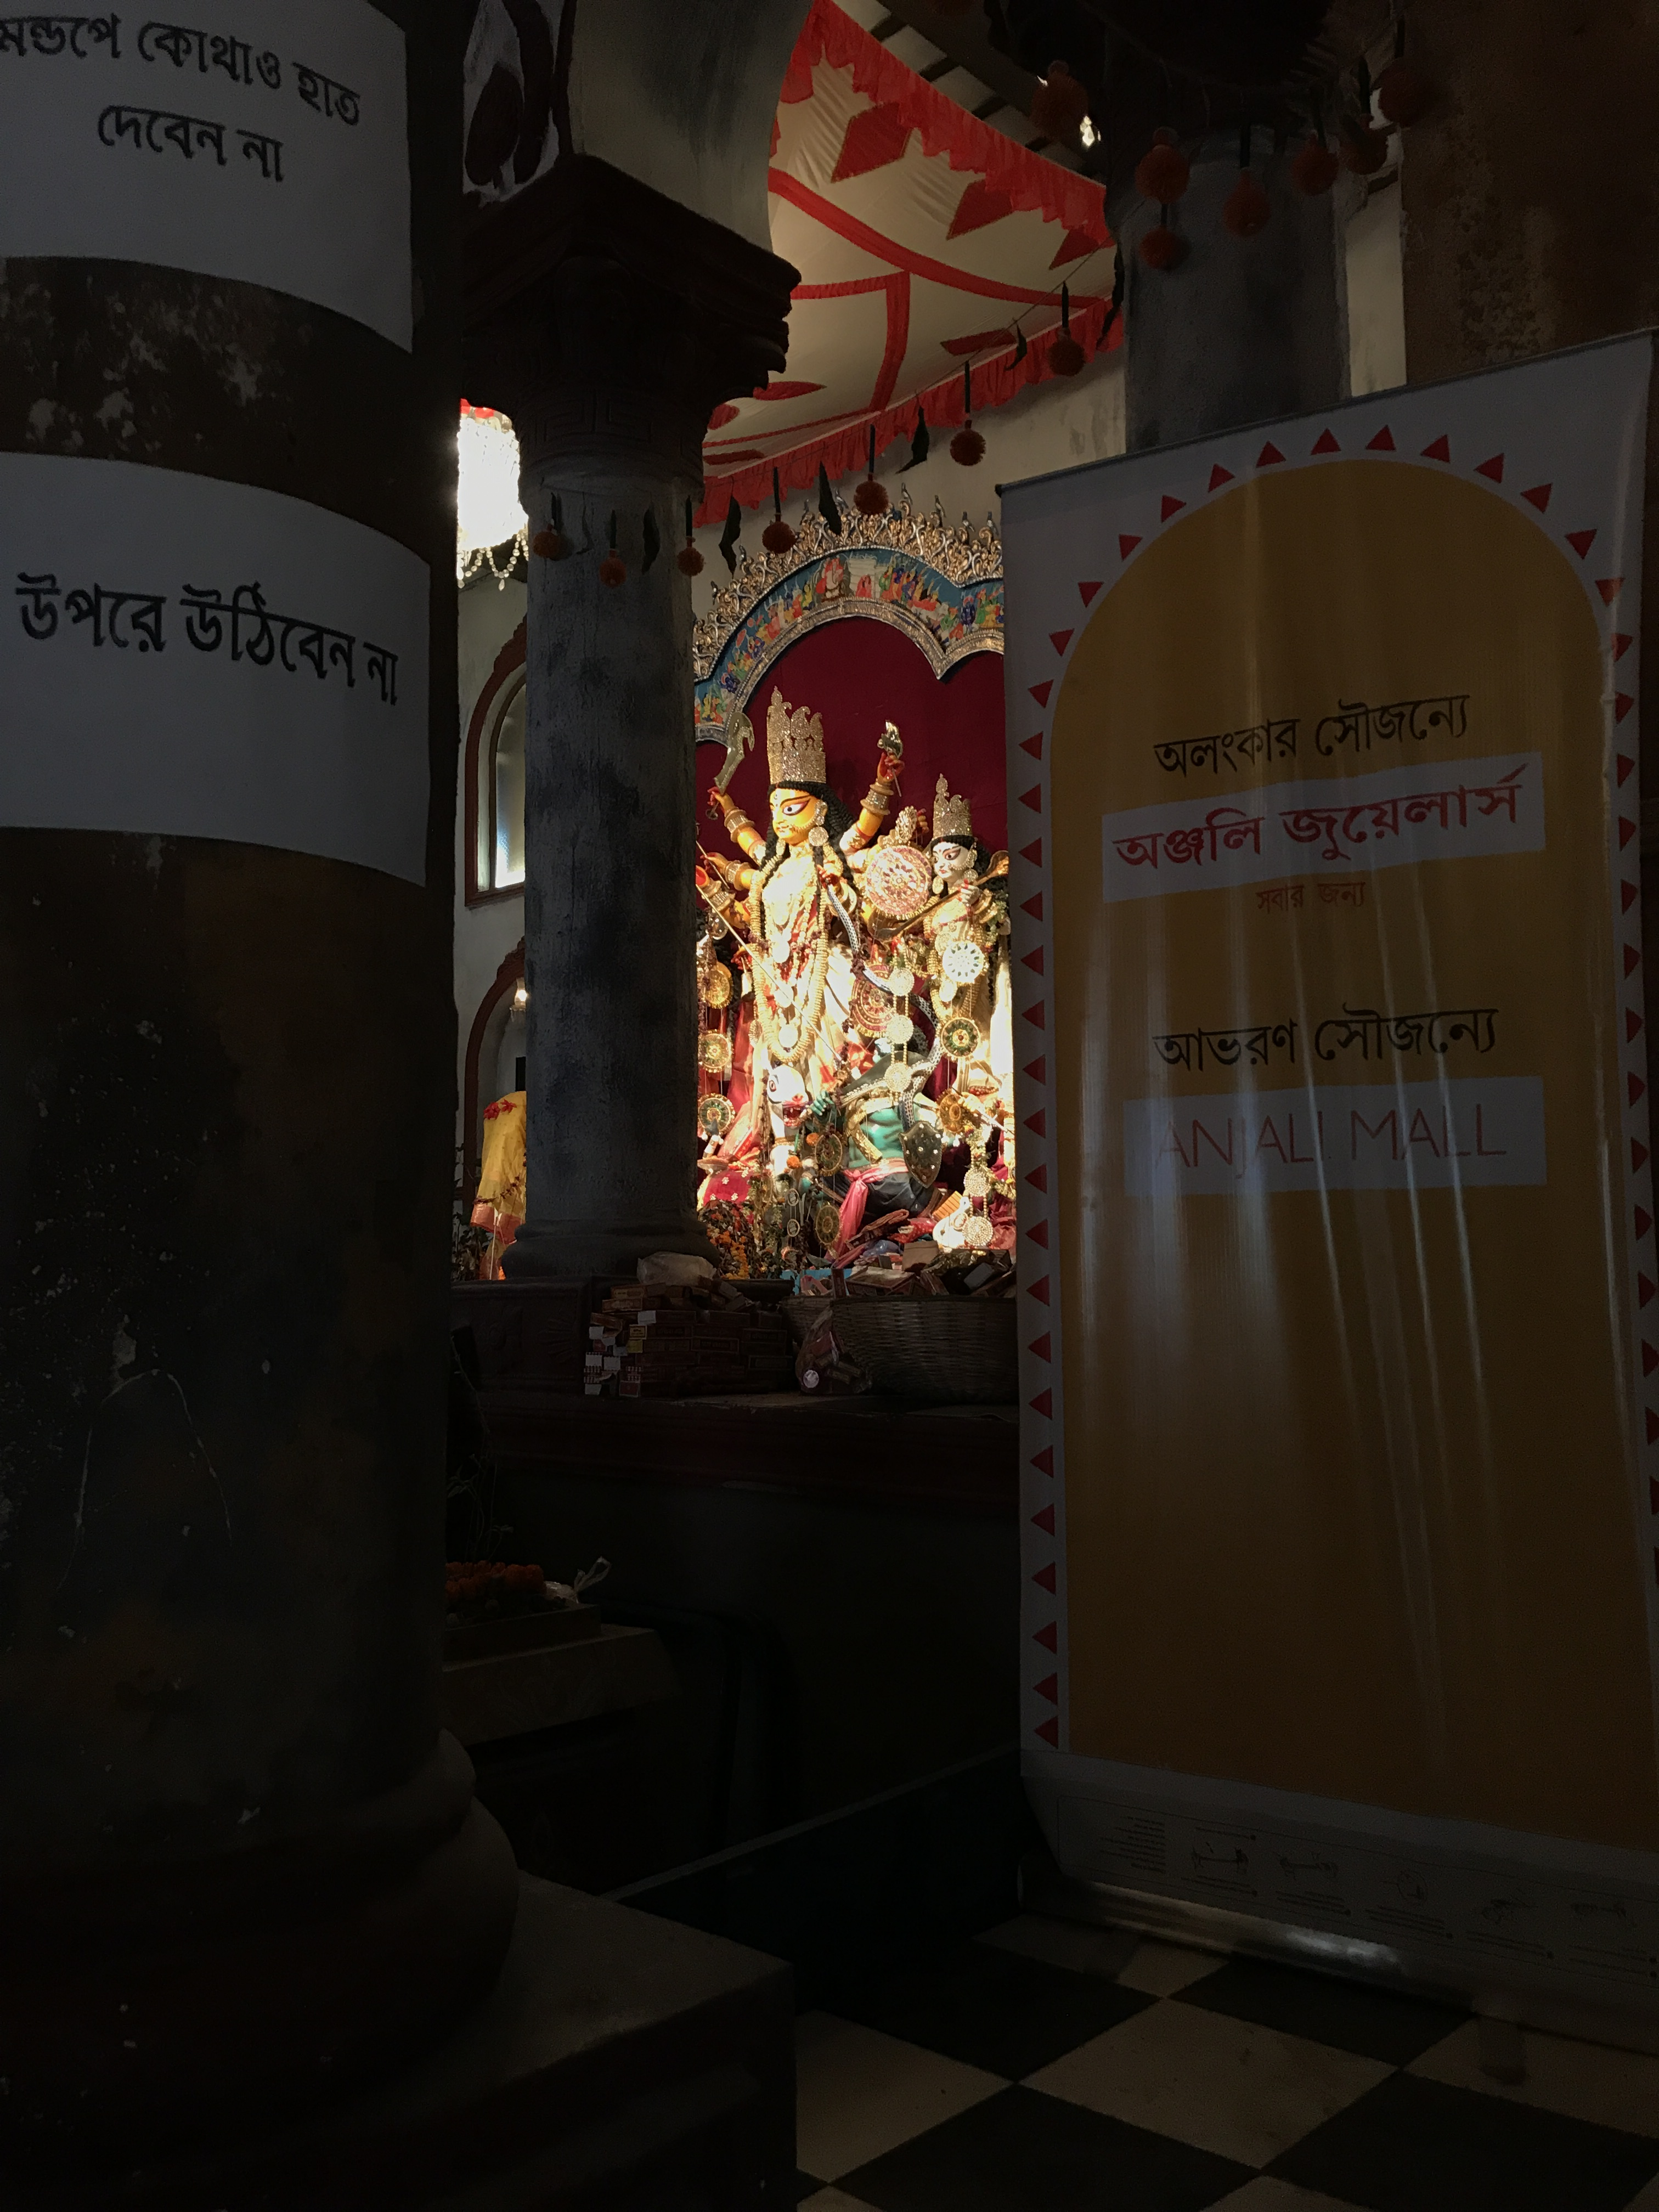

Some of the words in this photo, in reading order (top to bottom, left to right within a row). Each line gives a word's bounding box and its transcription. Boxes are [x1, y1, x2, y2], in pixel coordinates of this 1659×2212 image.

[119, 9, 290, 94] কোথাও
[286, 54, 373, 135] হাত
[89, 93, 294, 193] দেবেন না
[8, 556, 173, 665] উপরে
[171, 567, 409, 707] উঠিবেন না
[1141, 706, 1306, 782] অলংকার
[1304, 686, 1479, 768] সৌজন্যে
[1103, 800, 1271, 877] অঞ্জলি
[1273, 761, 1532, 870] জুয়েলার্স
[1252, 879, 1307, 919] সবার
[1312, 872, 1375, 912] জন্য
[1149, 1015, 1305, 1081] আভরণ
[1304, 990, 1509, 1068] সৌজন্যে
[1139, 1095, 1513, 1180] ANJALI MALL